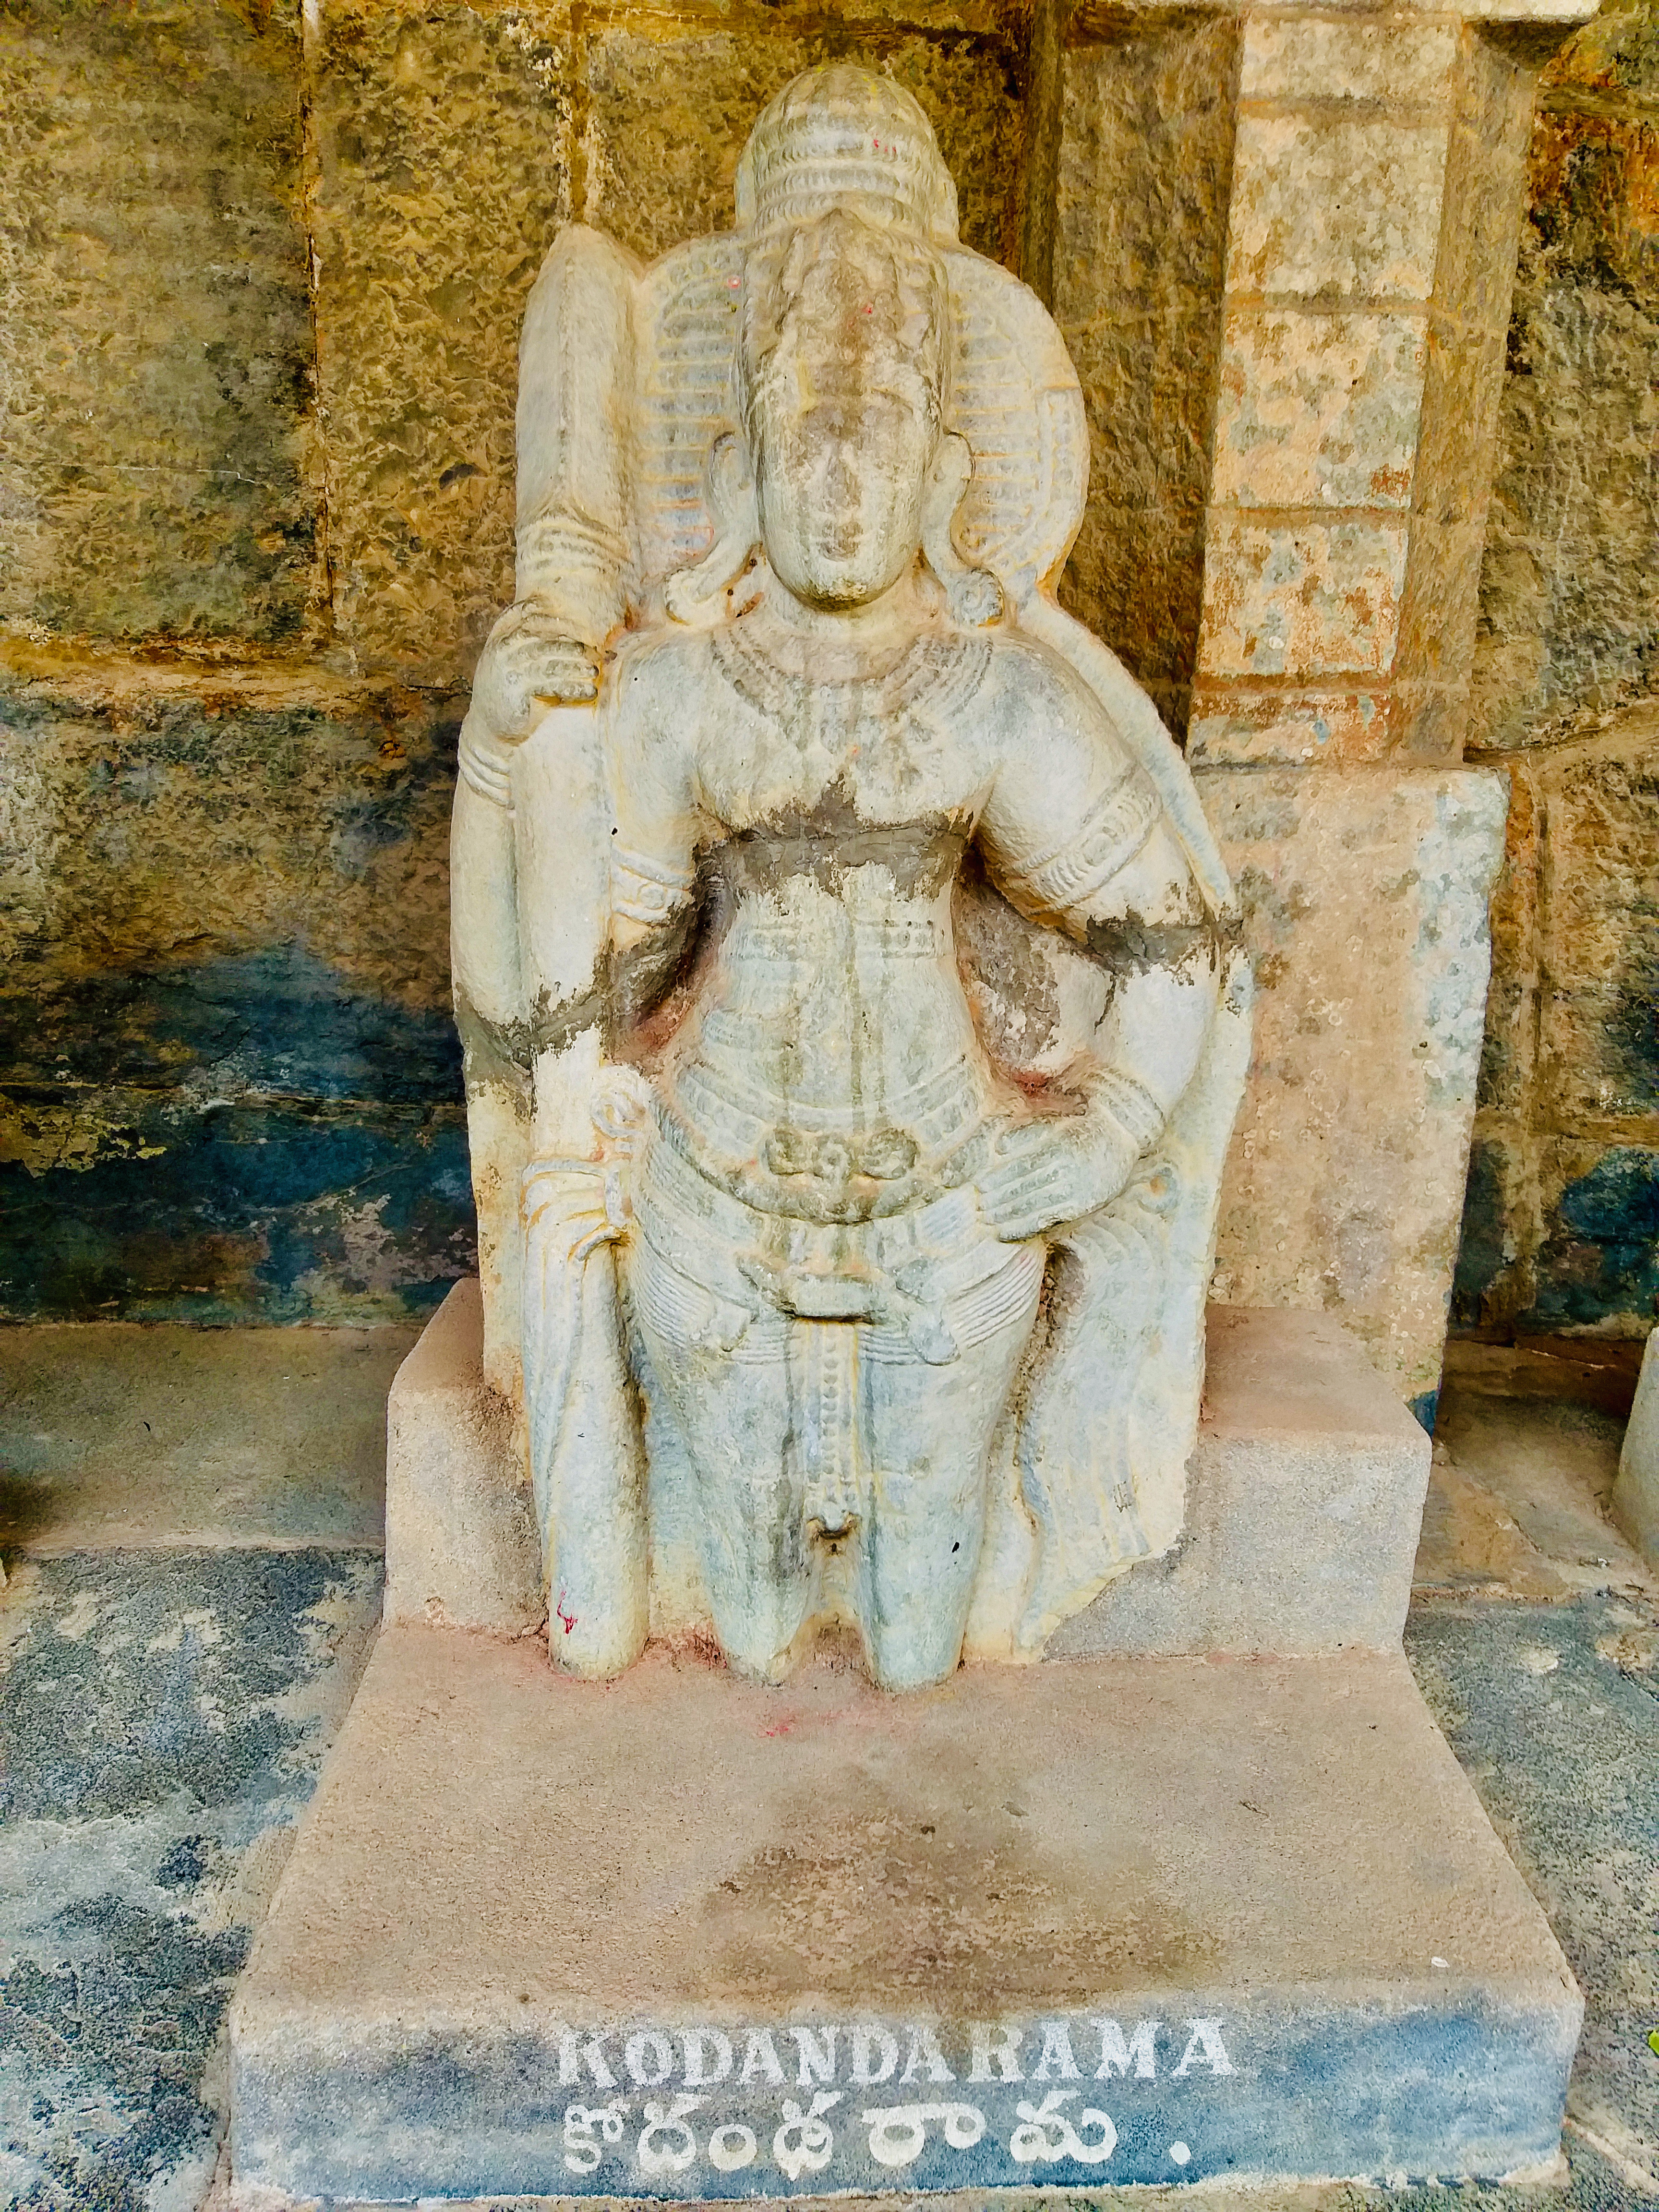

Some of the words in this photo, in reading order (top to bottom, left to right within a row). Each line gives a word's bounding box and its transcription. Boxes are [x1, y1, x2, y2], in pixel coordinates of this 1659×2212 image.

[550, 2019, 960, 2089] KODANDA
[963, 2015, 1242, 2088] RAMA
[559, 2090, 846, 2186] కోదండ
[859, 2085, 1121, 2169] రామ